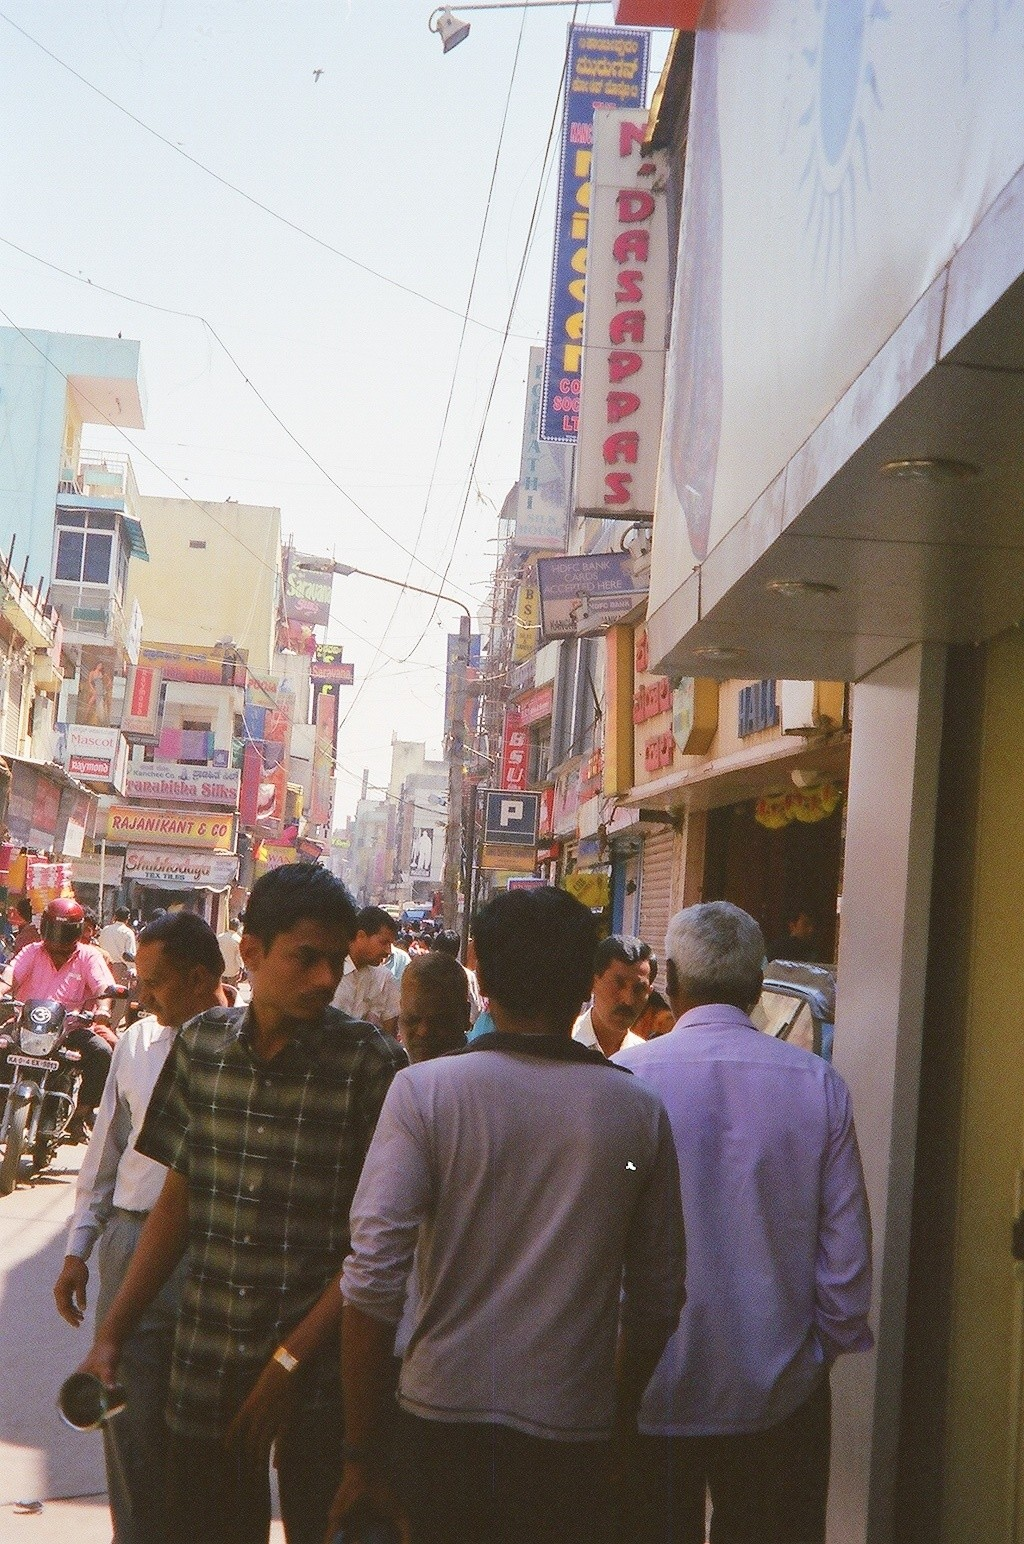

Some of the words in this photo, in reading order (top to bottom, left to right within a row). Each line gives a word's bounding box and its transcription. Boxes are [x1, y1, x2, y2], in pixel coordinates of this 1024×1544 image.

[568, 49, 642, 85] ಮುರುಗನ
[593, 112, 659, 507] N.DASAPPAS
[547, 557, 585, 578] HDFC
[537, 577, 601, 598] ACCEPTED
[561, 567, 605, 586] CARDS
[581, 557, 614, 576] BANK
[593, 573, 628, 596] HERE
[65, 754, 113, 778] Raymond
[130, 763, 177, 781] KancheeCo
[201, 773, 241, 802] Silks
[111, 803, 197, 837] RAJANIKANT
[189, 817, 212, 839] &
[208, 815, 235, 844] CO